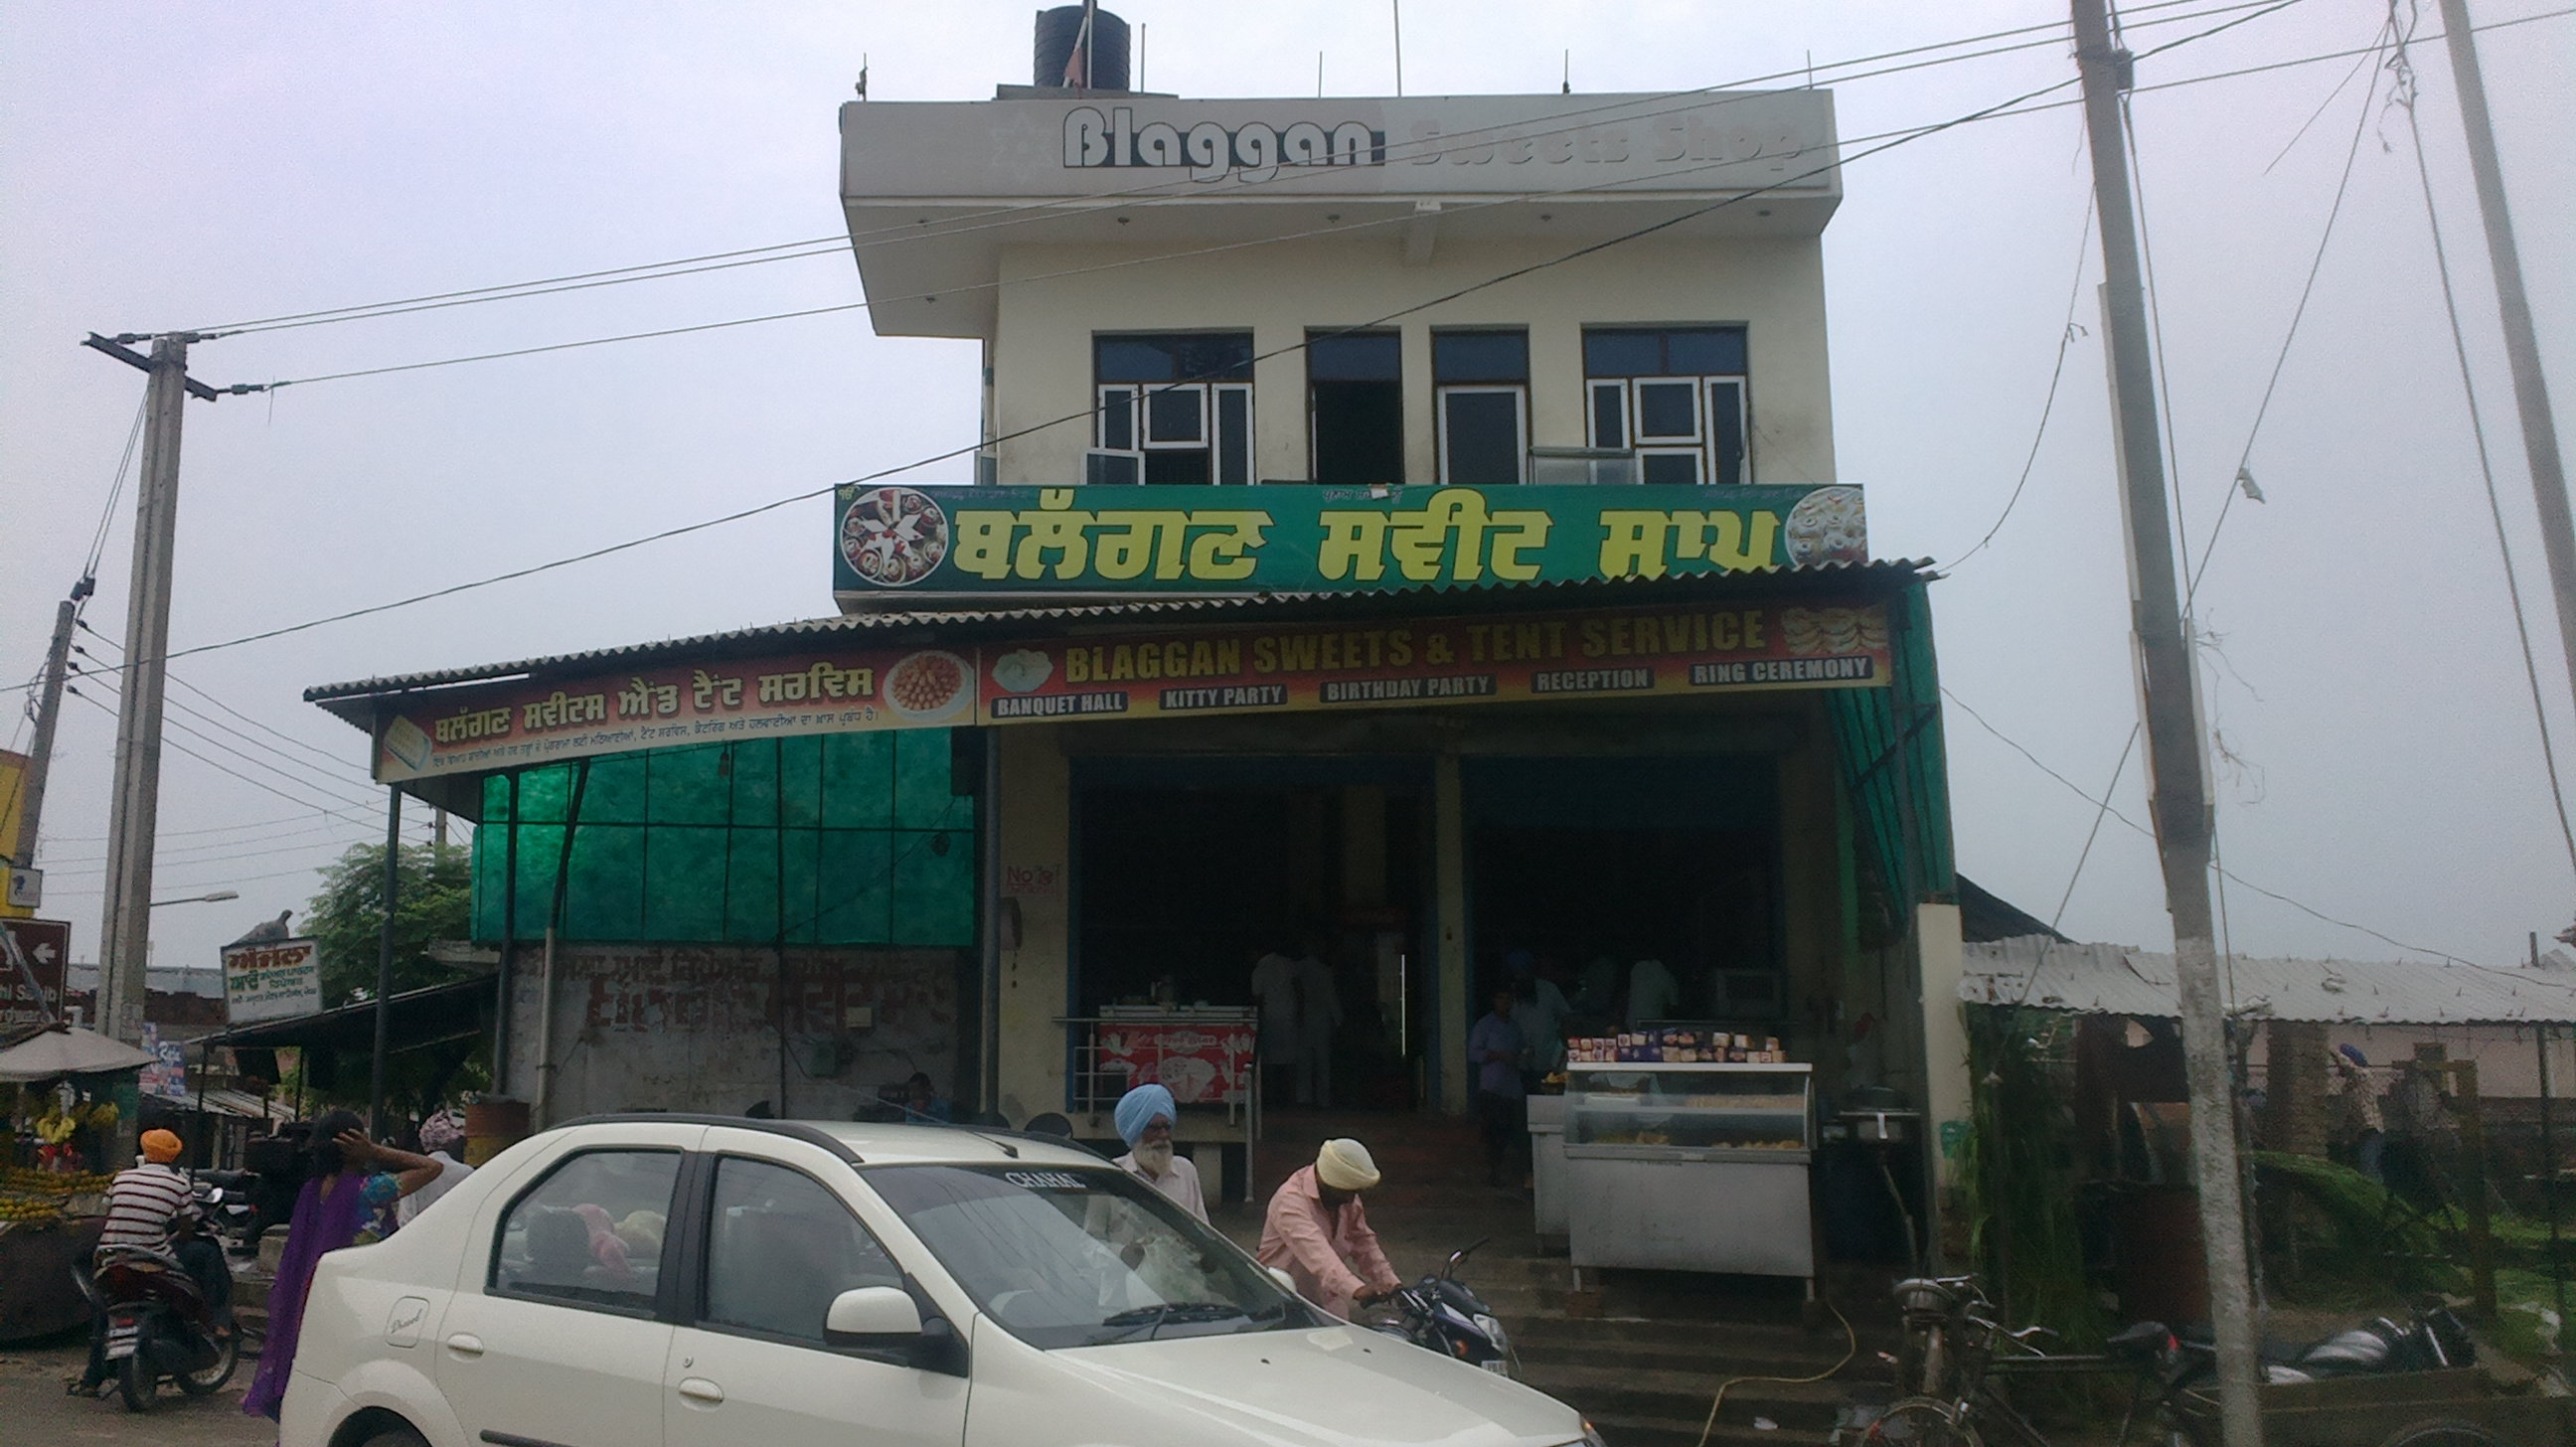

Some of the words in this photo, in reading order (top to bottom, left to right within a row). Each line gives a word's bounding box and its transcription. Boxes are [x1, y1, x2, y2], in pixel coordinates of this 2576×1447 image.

[1054, 98, 1393, 193] Blaggan
[947, 484, 1285, 594] ਬਲੱਗਣ
[1307, 482, 1558, 587] ਸਵੀਟ
[1586, 505, 1786, 578] ਸਾ੫
[427, 699, 516, 749] ਬਲੱਗਣ
[517, 686, 611, 733] ਸਵੀਟਸ
[611, 673, 686, 721] ਐਂਡ
[687, 663, 751, 714] ਦੈਂਦ
[752, 650, 885, 711] ਸਰਵਿਸ
[993, 693, 1076, 716] BANQUET
[1077, 692, 1126, 714] HALL
[1057, 631, 1247, 687] BLAGGAN
[1159, 687, 1221, 711] KITTY
[1221, 684, 1287, 707] PARTY
[1247, 627, 1417, 682] SWEETS
[1320, 677, 1424, 703] BIRTHDAY
[1417, 621, 1462, 673] &
[1423, 675, 1497, 697] PARTY
[1459, 616, 1576, 671] TENT
[1531, 668, 1654, 694] RECEPTION
[1573, 602, 1776, 660] SERVICE
[1689, 660, 1749, 687] RING
[1747, 657, 1872, 682] CEREMONY
[225, 939, 318, 974] ਅੇਜਲਾ